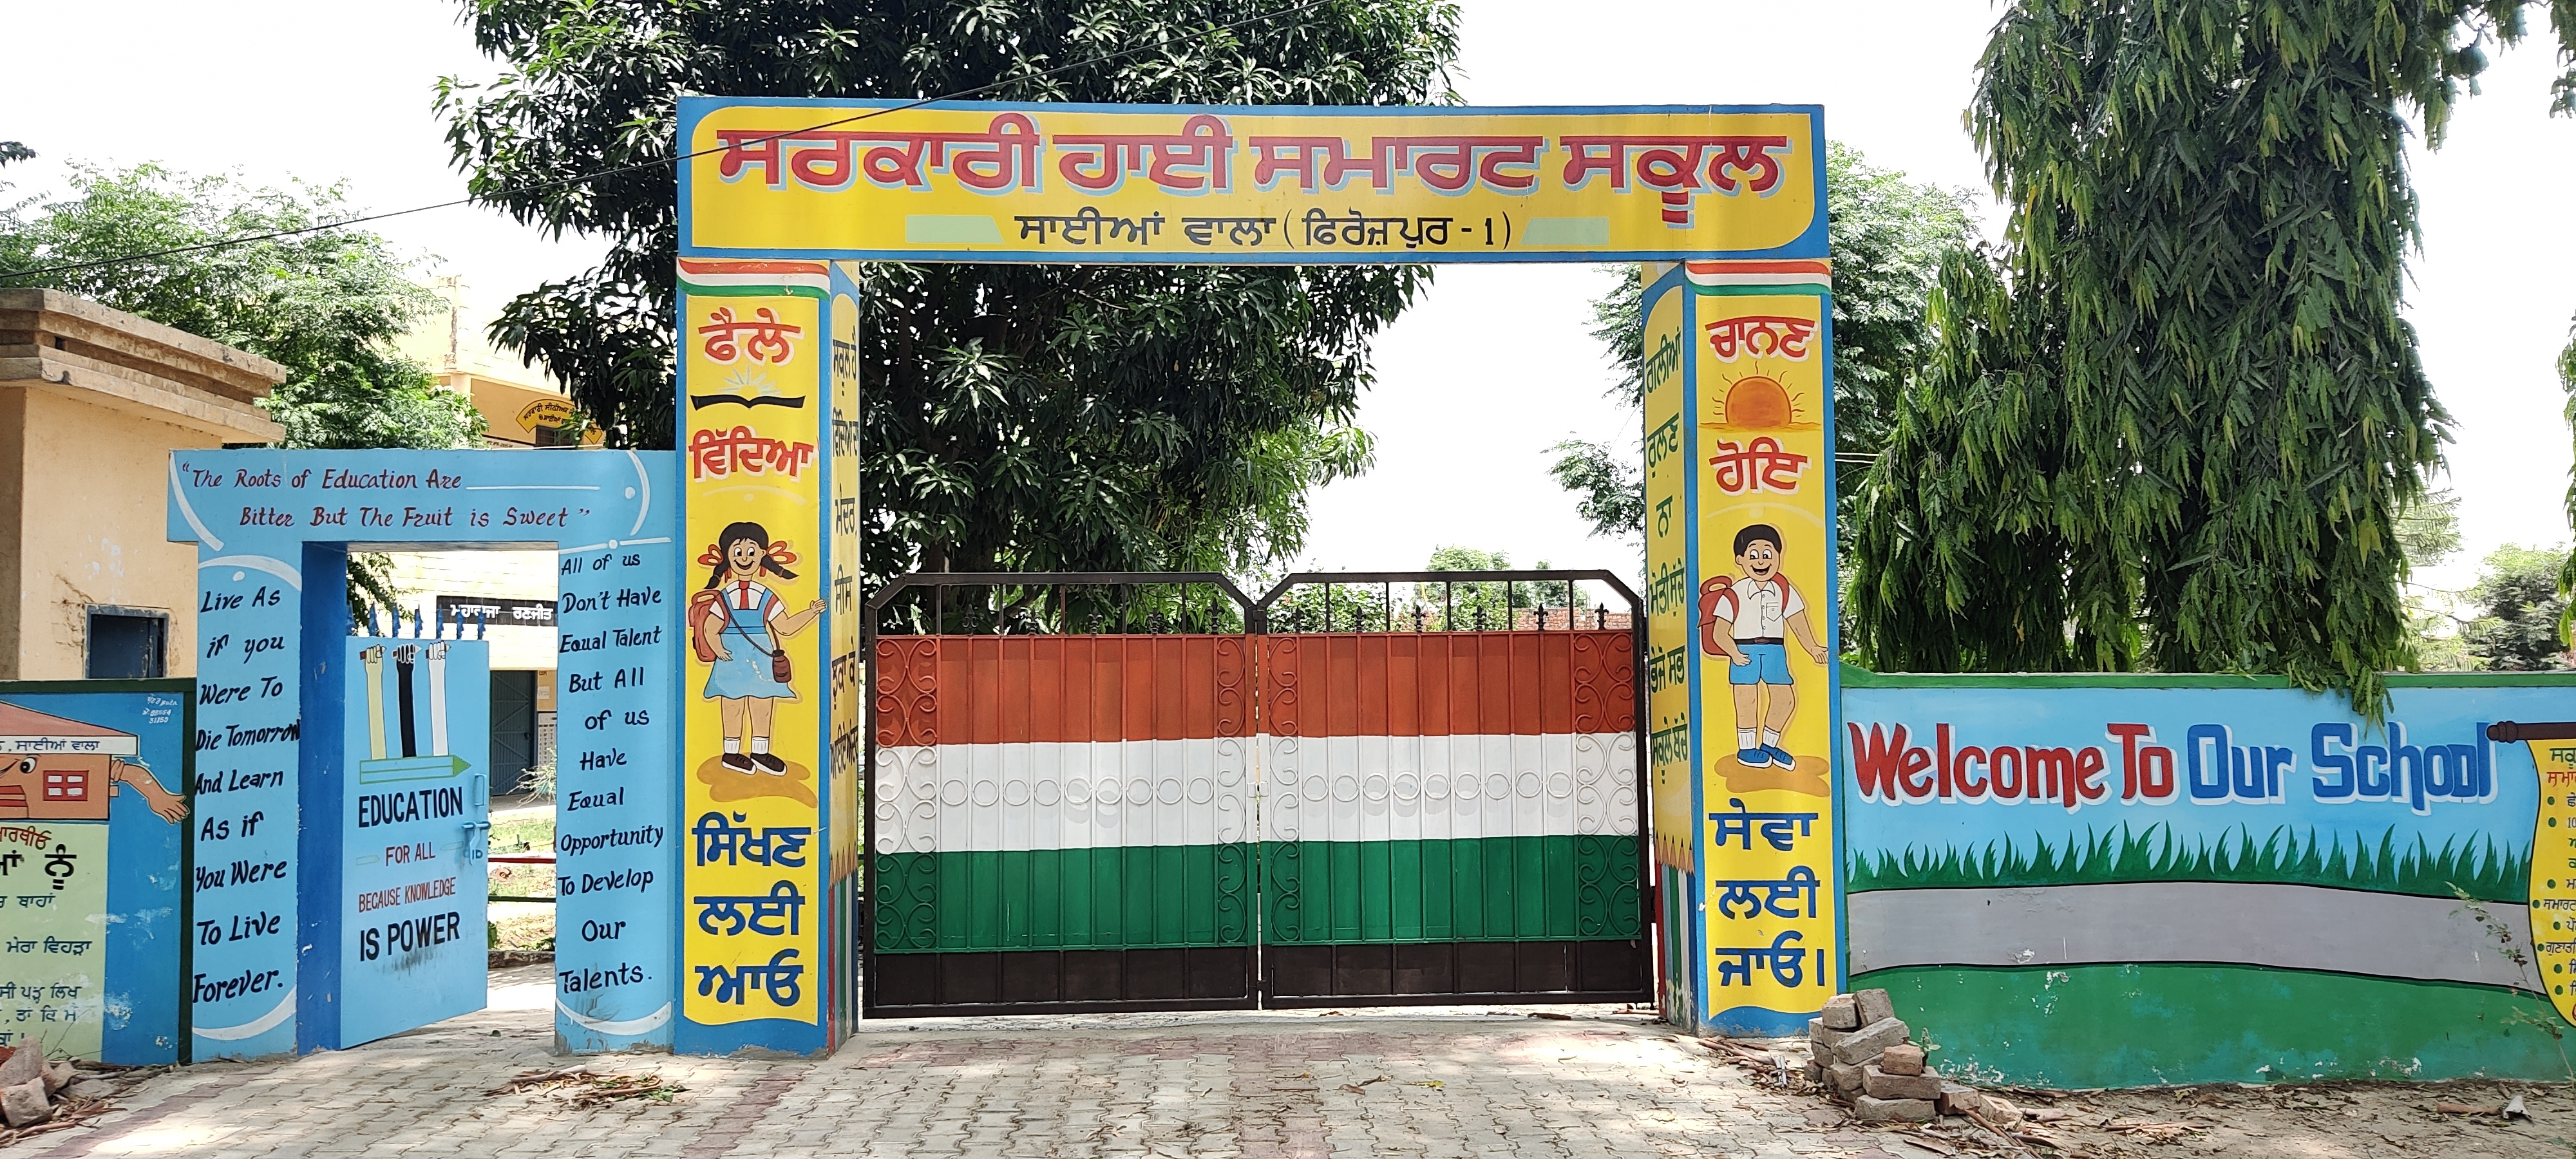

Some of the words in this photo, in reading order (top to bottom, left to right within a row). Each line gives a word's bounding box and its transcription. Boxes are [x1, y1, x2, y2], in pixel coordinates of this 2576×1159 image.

[702, 111, 1051, 201] ਸਰਕਾਰੀ
[1049, 109, 1246, 204] ਹਾਈ
[1243, 128, 1553, 200] ਸਮਾਰਟ
[1551, 126, 1797, 240] ਸਕੂਲ
[1009, 201, 1174, 250] ਸਾਈਆਂ
[1172, 212, 1281, 252] ਵਾਲਾ
[1298, 200, 1463, 252] ਫਿਰੋਜ਼ਪੁਰ
[1476, 207, 1501, 249] 1
[694, 298, 813, 372] ਫੈਲੇ
[1698, 310, 1822, 371] ਚਾਨਣ
[1642, 321, 1685, 397] ਗਲੀਆਂ
[183, 463, 226, 493] The
[230, 466, 284, 489] Roots
[287, 464, 313, 490] of
[317, 464, 422, 493] Education
[424, 466, 466, 495] Are
[685, 415, 819, 491] ਵਿੱਦਿਆ
[1643, 407, 1684, 484] ਰੁਲਣ
[1704, 432, 1818, 505] ਹੋਇ
[235, 501, 296, 531] Bitter
[307, 499, 353, 534] But
[353, 499, 398, 536] The
[399, 502, 453, 531] Fruit
[466, 502, 497, 531] is
[503, 502, 568, 531] Sweet
[1650, 487, 1679, 544] ਨਾ
[559, 552, 587, 578] All
[621, 551, 643, 570] us
[198, 585, 246, 616] Live
[248, 580, 286, 613] AS
[507, 601, 555, 623] ਰਣਜੀਤ
[557, 586, 612, 616] Don
[613, 581, 666, 611] Have
[1645, 552, 1687, 621] ਮੇਤੀਸੁੱਰੇ
[201, 628, 234, 660] if
[193, 675, 254, 709] Were
[239, 634, 287, 666] you
[254, 671, 287, 702] To
[565, 664, 605, 697] But
[560, 622, 611, 657] Equal
[610, 661, 649, 692] All
[610, 622, 663, 649] Talent
[1648, 641, 1668, 696] ਭੇਜੋ
[1666, 639, 1688, 688] ਸਭ
[12, 737, 70, 753] ਸਾਈਆ
[69, 737, 102, 753] ਵਾਲਾ
[194, 723, 224, 753] Die
[193, 766, 229, 798] And
[223, 764, 288, 794] Learn
[222, 715, 301, 751] Tomorrow
[354, 782, 468, 831] EDUCATION
[562, 782, 632, 816] Equal
[580, 701, 617, 737] of
[576, 743, 630, 771] Have
[621, 704, 652, 728] us
[1651, 713, 1675, 786] ਸਕੂਲੇ
[1671, 709, 1690, 769] ਬੱਚੇ
[1839, 713, 2115, 822] Welcome
[2098, 712, 2184, 814] To
[2181, 717, 2299, 808] Our
[2303, 717, 2509, 824] School
[2544, 770, 2575, 790] ਸਮਾ
[2548, 744, 2575, 769] ਸਕੂ
[4, 933, 42, 956] ਮੇਰਾ
[0, 821, 56, 854] ਰਥੀਓ
[10, 887, 58, 911] ਥਾਹਾਂ
[42, 838, 76, 893] ਨੂੰ
[38, 933, 94, 959] ਵਿਹੜਾ
[189, 860, 229, 894] You
[193, 915, 225, 950] To
[196, 814, 232, 845] AS
[238, 806, 268, 842] if
[224, 906, 286, 945] Live
[228, 854, 293, 890] Were
[352, 925, 384, 967] IS
[354, 885, 404, 916] BECAUSE
[380, 842, 413, 870] FOR
[384, 906, 466, 959] POWER
[412, 836, 441, 864] ALL
[402, 874, 460, 909] KNOWLEDGE
[553, 870, 578, 901] To
[573, 907, 639, 948] Our
[554, 819, 665, 864] Opportunity
[577, 865, 663, 898] Develop
[686, 876, 811, 942] ਲਈ
[687, 807, 815, 874] ਸਿੱਖਣ
[1710, 923, 1812, 994] ਜਾਓ
[1705, 792, 1822, 861] ਸੇਵਾ
[1710, 857, 1830, 927] ਲਈ
[2540, 896, 2575, 914] ਸਮਾਰਟ
[2544, 936, 2575, 957] ਗੁਣਾਤ
[18, 982, 46, 1005] ਪੜ੍ਹ
[47, 977, 84, 1004] ਲਿਖ
[191, 959, 289, 1007] Forever.
[554, 954, 656, 998] Talents.
[689, 941, 810, 1013] ਆਓ
[14, 1004, 36, 1023] ਤਾਂ